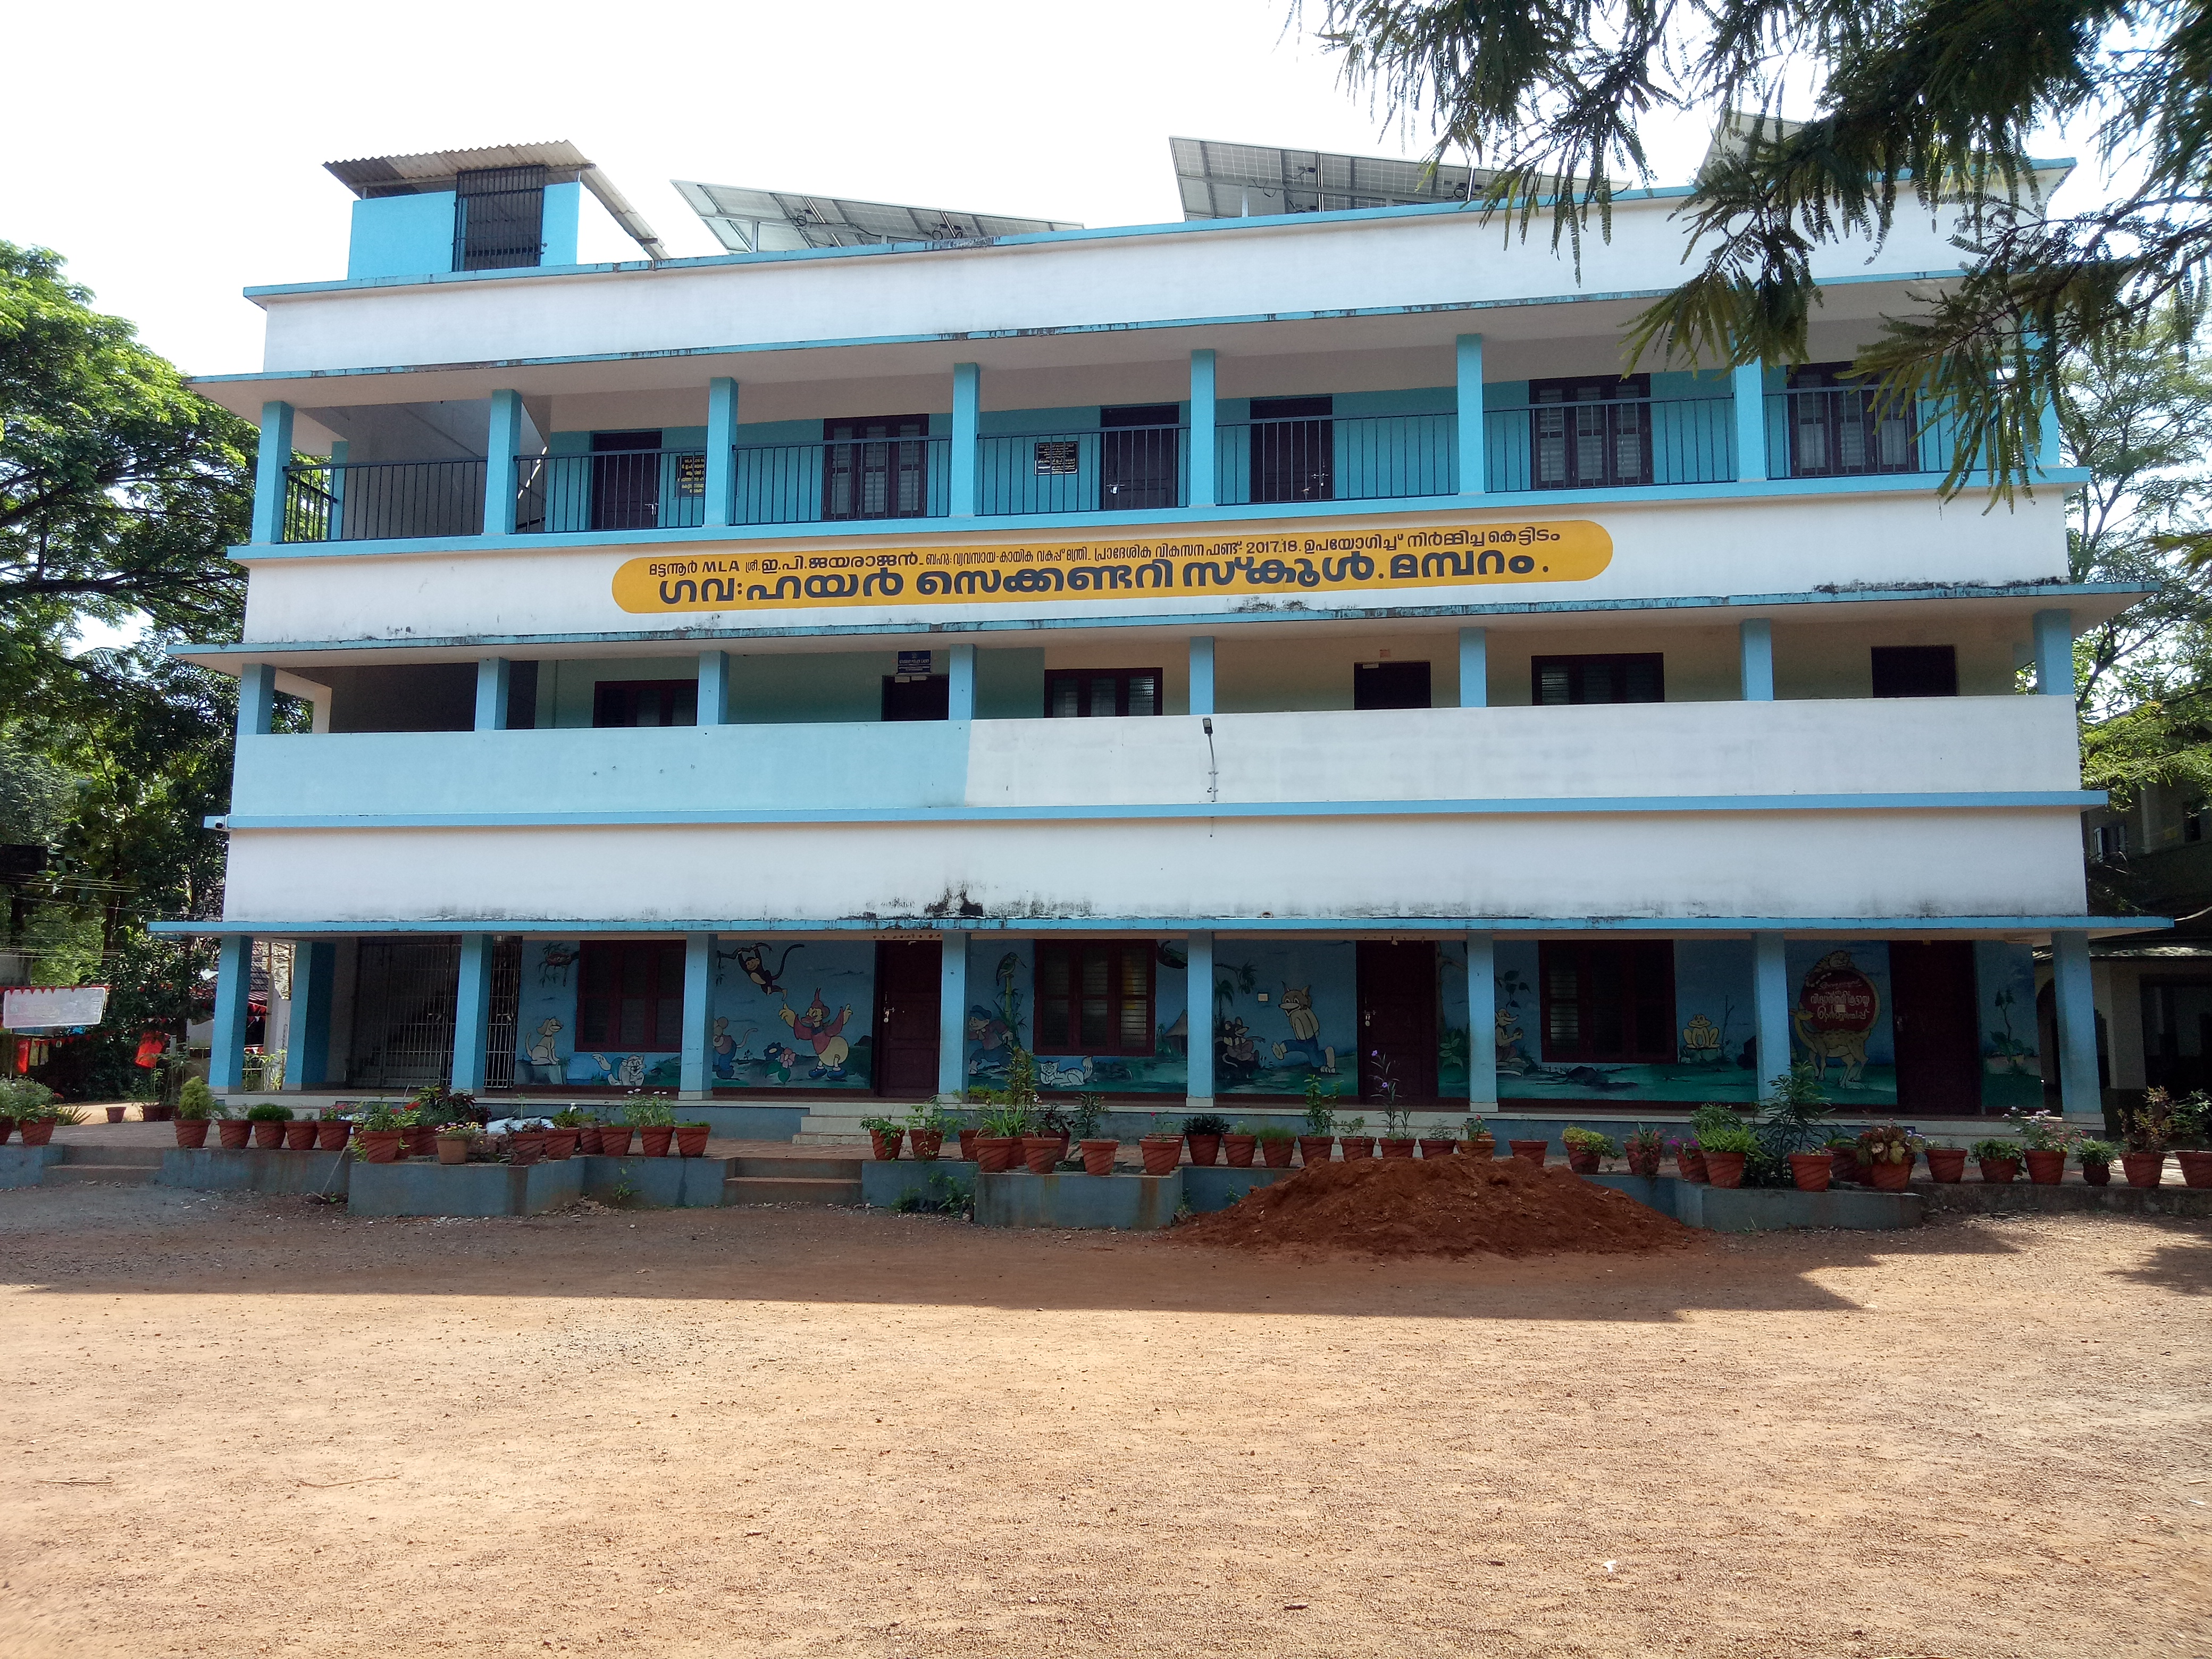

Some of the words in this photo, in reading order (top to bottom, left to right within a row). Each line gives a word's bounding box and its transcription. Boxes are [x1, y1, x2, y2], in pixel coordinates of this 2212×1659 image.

[646, 558, 698, 578] മട്ടന്നൂർ
[655, 574, 737, 606] ഗവ
[698, 559, 742, 574] MLA
[745, 564, 907, 603] ഹയ൪
[743, 548, 919, 576] ശ്രീ.ഇ.പി.ജയരാജൻ
[926, 551, 954, 568] ബഹു:
[950, 546, 998, 567] വ്യവസായ
[998, 545, 1034, 565] കായിക
[912, 554, 1175, 597] സെക്കണ്ടറി
[1030, 546, 1090, 564] വകുപ്പ് മന്ത്രി
[1091, 542, 1154, 564] പ്രാദേശിക
[1152, 538, 1206, 558] വികസന
[1205, 536, 1243, 557] ഫണ്ട്
[1240, 532, 1302, 564] 2017.18
[1180, 548, 1375, 589] സ്കൂൾ
[1301, 530, 1405, 555] ഉപയോഗിച്ച്
[1405, 525, 1488, 549] നിർമ്മിച്ച
[1388, 546, 1537, 581] മമ്പറം
[1486, 522, 1562, 548] കെട്ടിടം